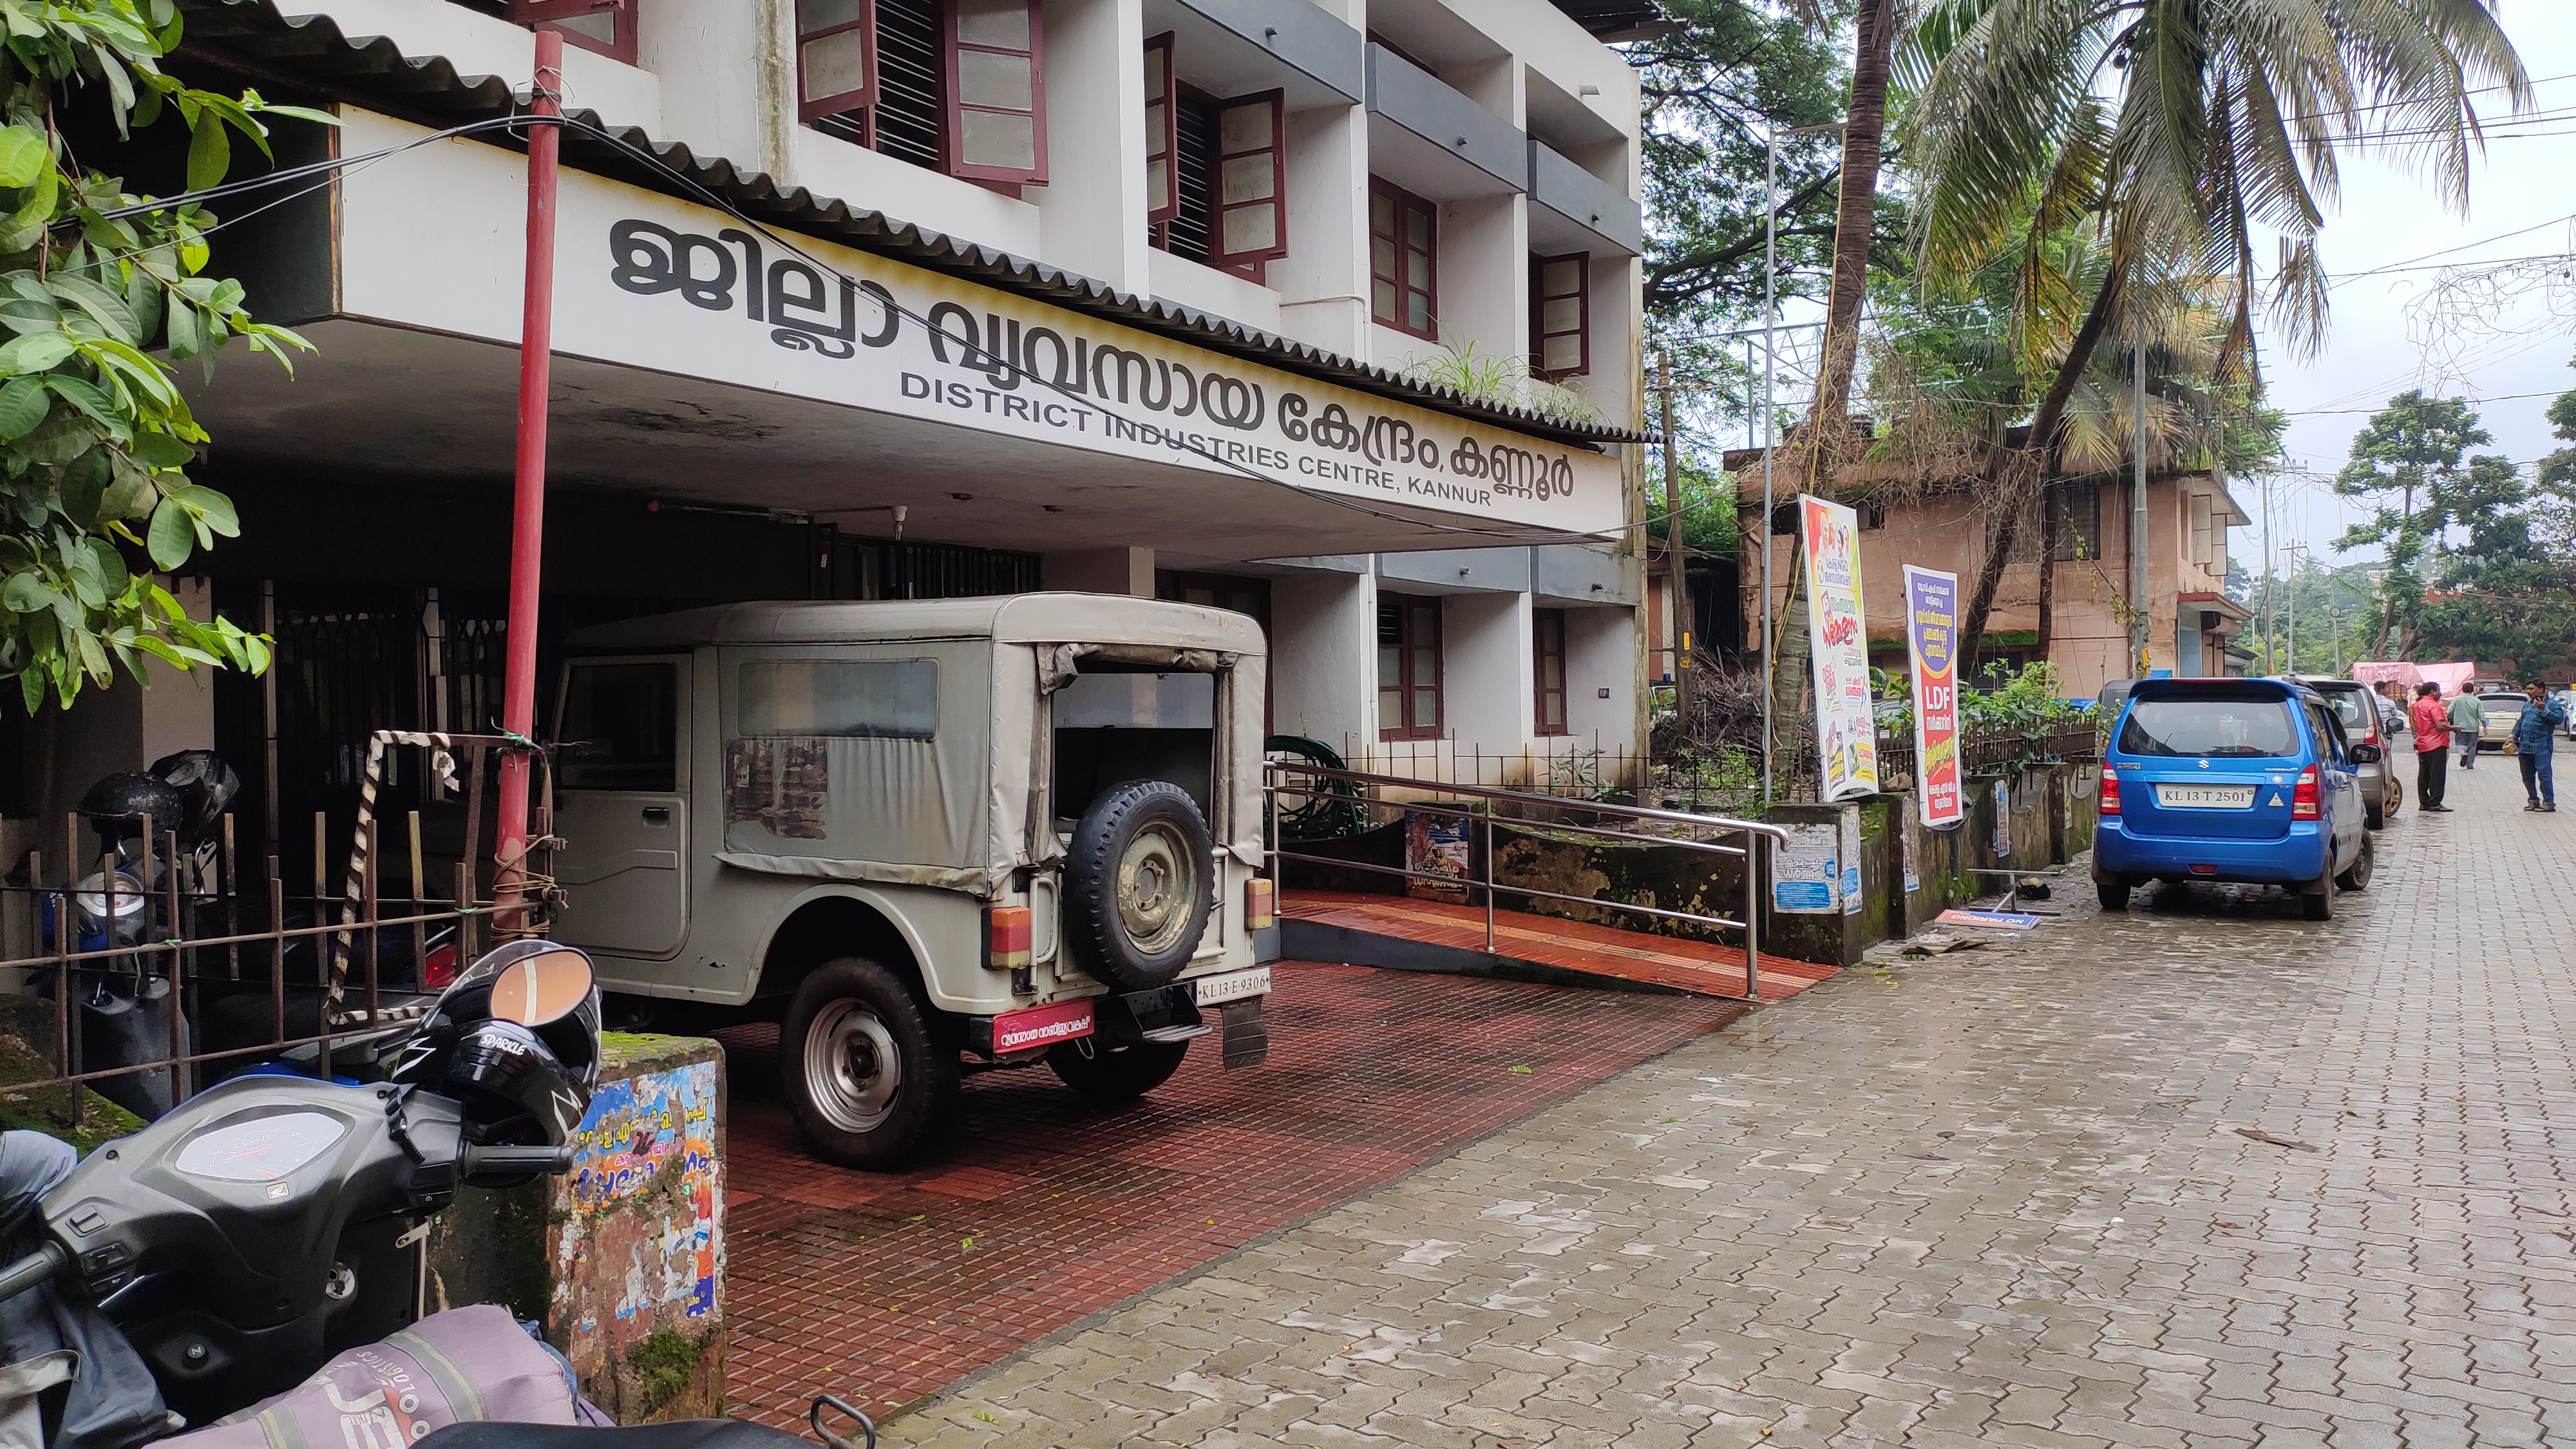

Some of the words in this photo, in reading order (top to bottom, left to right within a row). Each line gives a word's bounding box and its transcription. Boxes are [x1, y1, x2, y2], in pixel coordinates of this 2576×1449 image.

[605, 211, 902, 363] ജില്ലാ
[920, 296, 1271, 440] വ്യവസായ
[899, 366, 1095, 437] DISTRICT
[1100, 410, 1294, 475] INDUSTRIES
[1275, 384, 1446, 474] കേന്ദ്രം
[1293, 449, 1398, 495] CENTRE
[1404, 474, 1495, 510] KANNUR
[1446, 432, 1578, 504] കണ്ണൂർ
[1826, 593, 1858, 617] സംസ്ഥാന
[1922, 685, 1952, 712] LDF
[2158, 784, 2254, 807] KL13-T-2501
[999, 1023, 1040, 1051] വ്യവസായ
[1036, 1013, 1093, 1041] വാണിജ്യവകപ്പ്